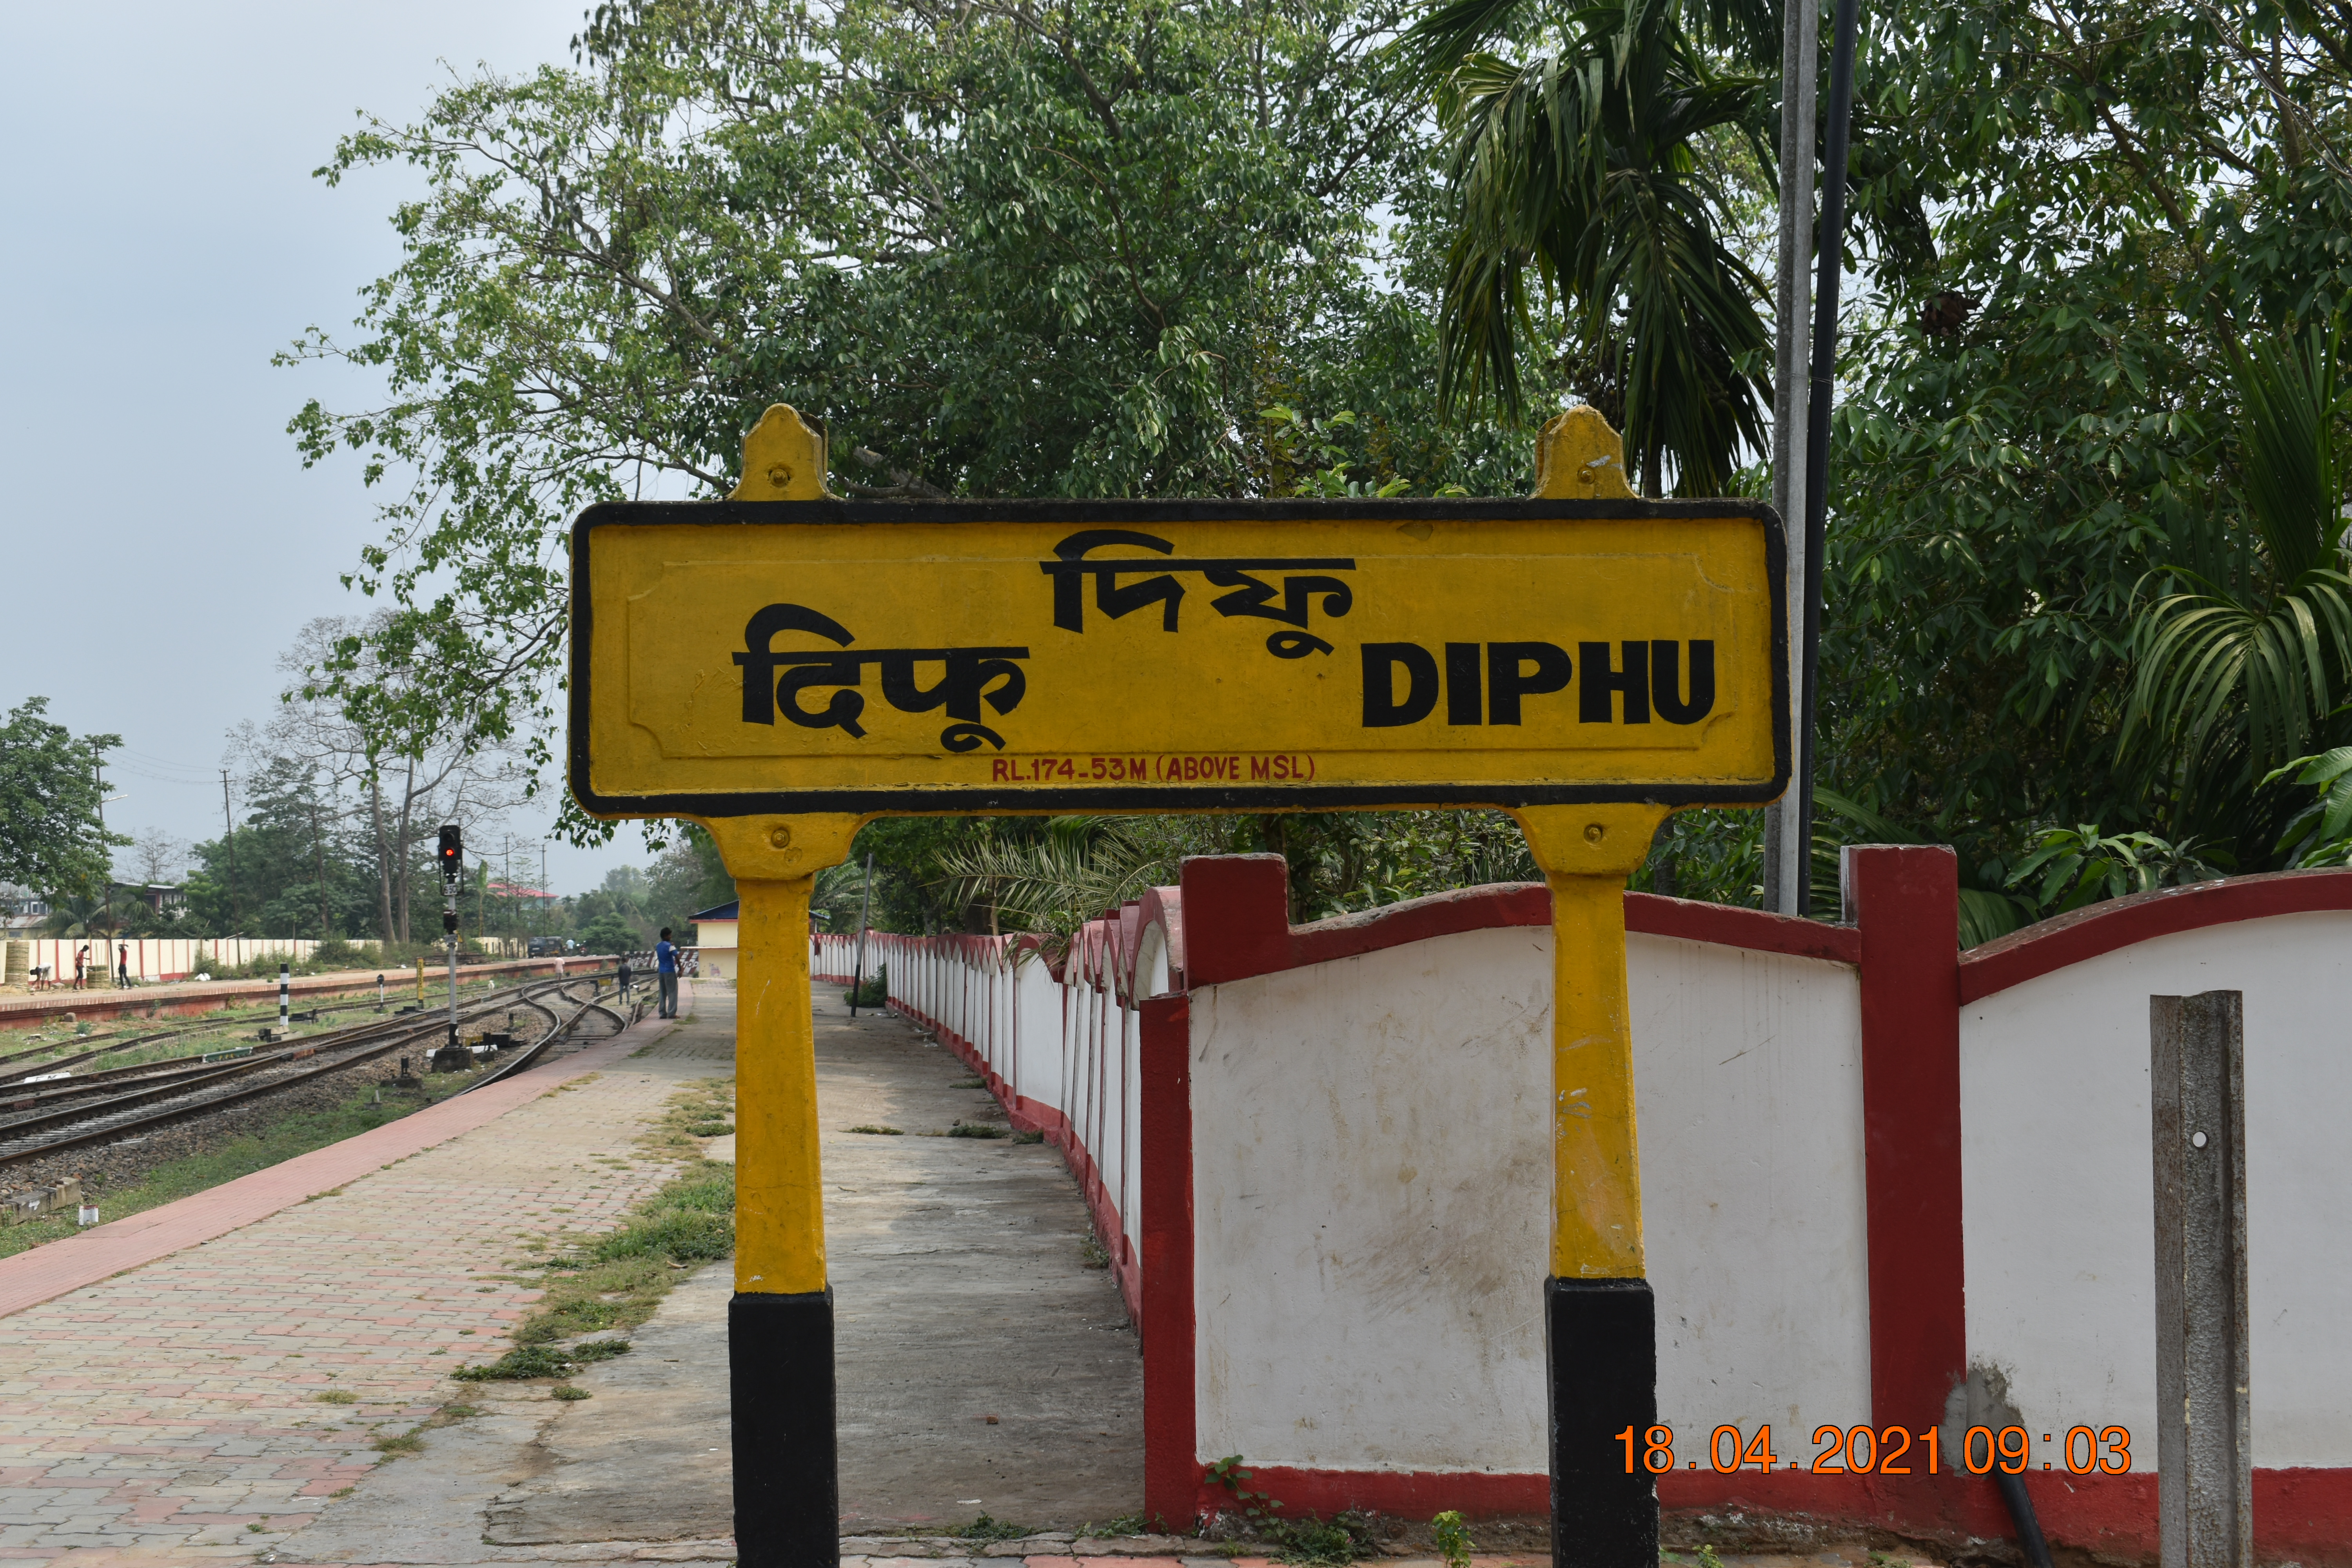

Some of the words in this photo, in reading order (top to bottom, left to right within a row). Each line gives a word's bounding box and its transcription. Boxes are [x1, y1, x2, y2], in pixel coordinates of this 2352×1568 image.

[1030, 521, 1357, 666] দিফু
[720, 588, 1036, 760] दिफू
[1357, 630, 1720, 730] DIPHU
[989, 752, 1150, 785] RL.174-53M
[1163, 743, 1244, 787] ABOVE
[1247, 745, 1306, 786] MSL
[1613, 1417, 1944, 1476] 18.04.2021
[1955, 1417, 2140, 1481] 09:03